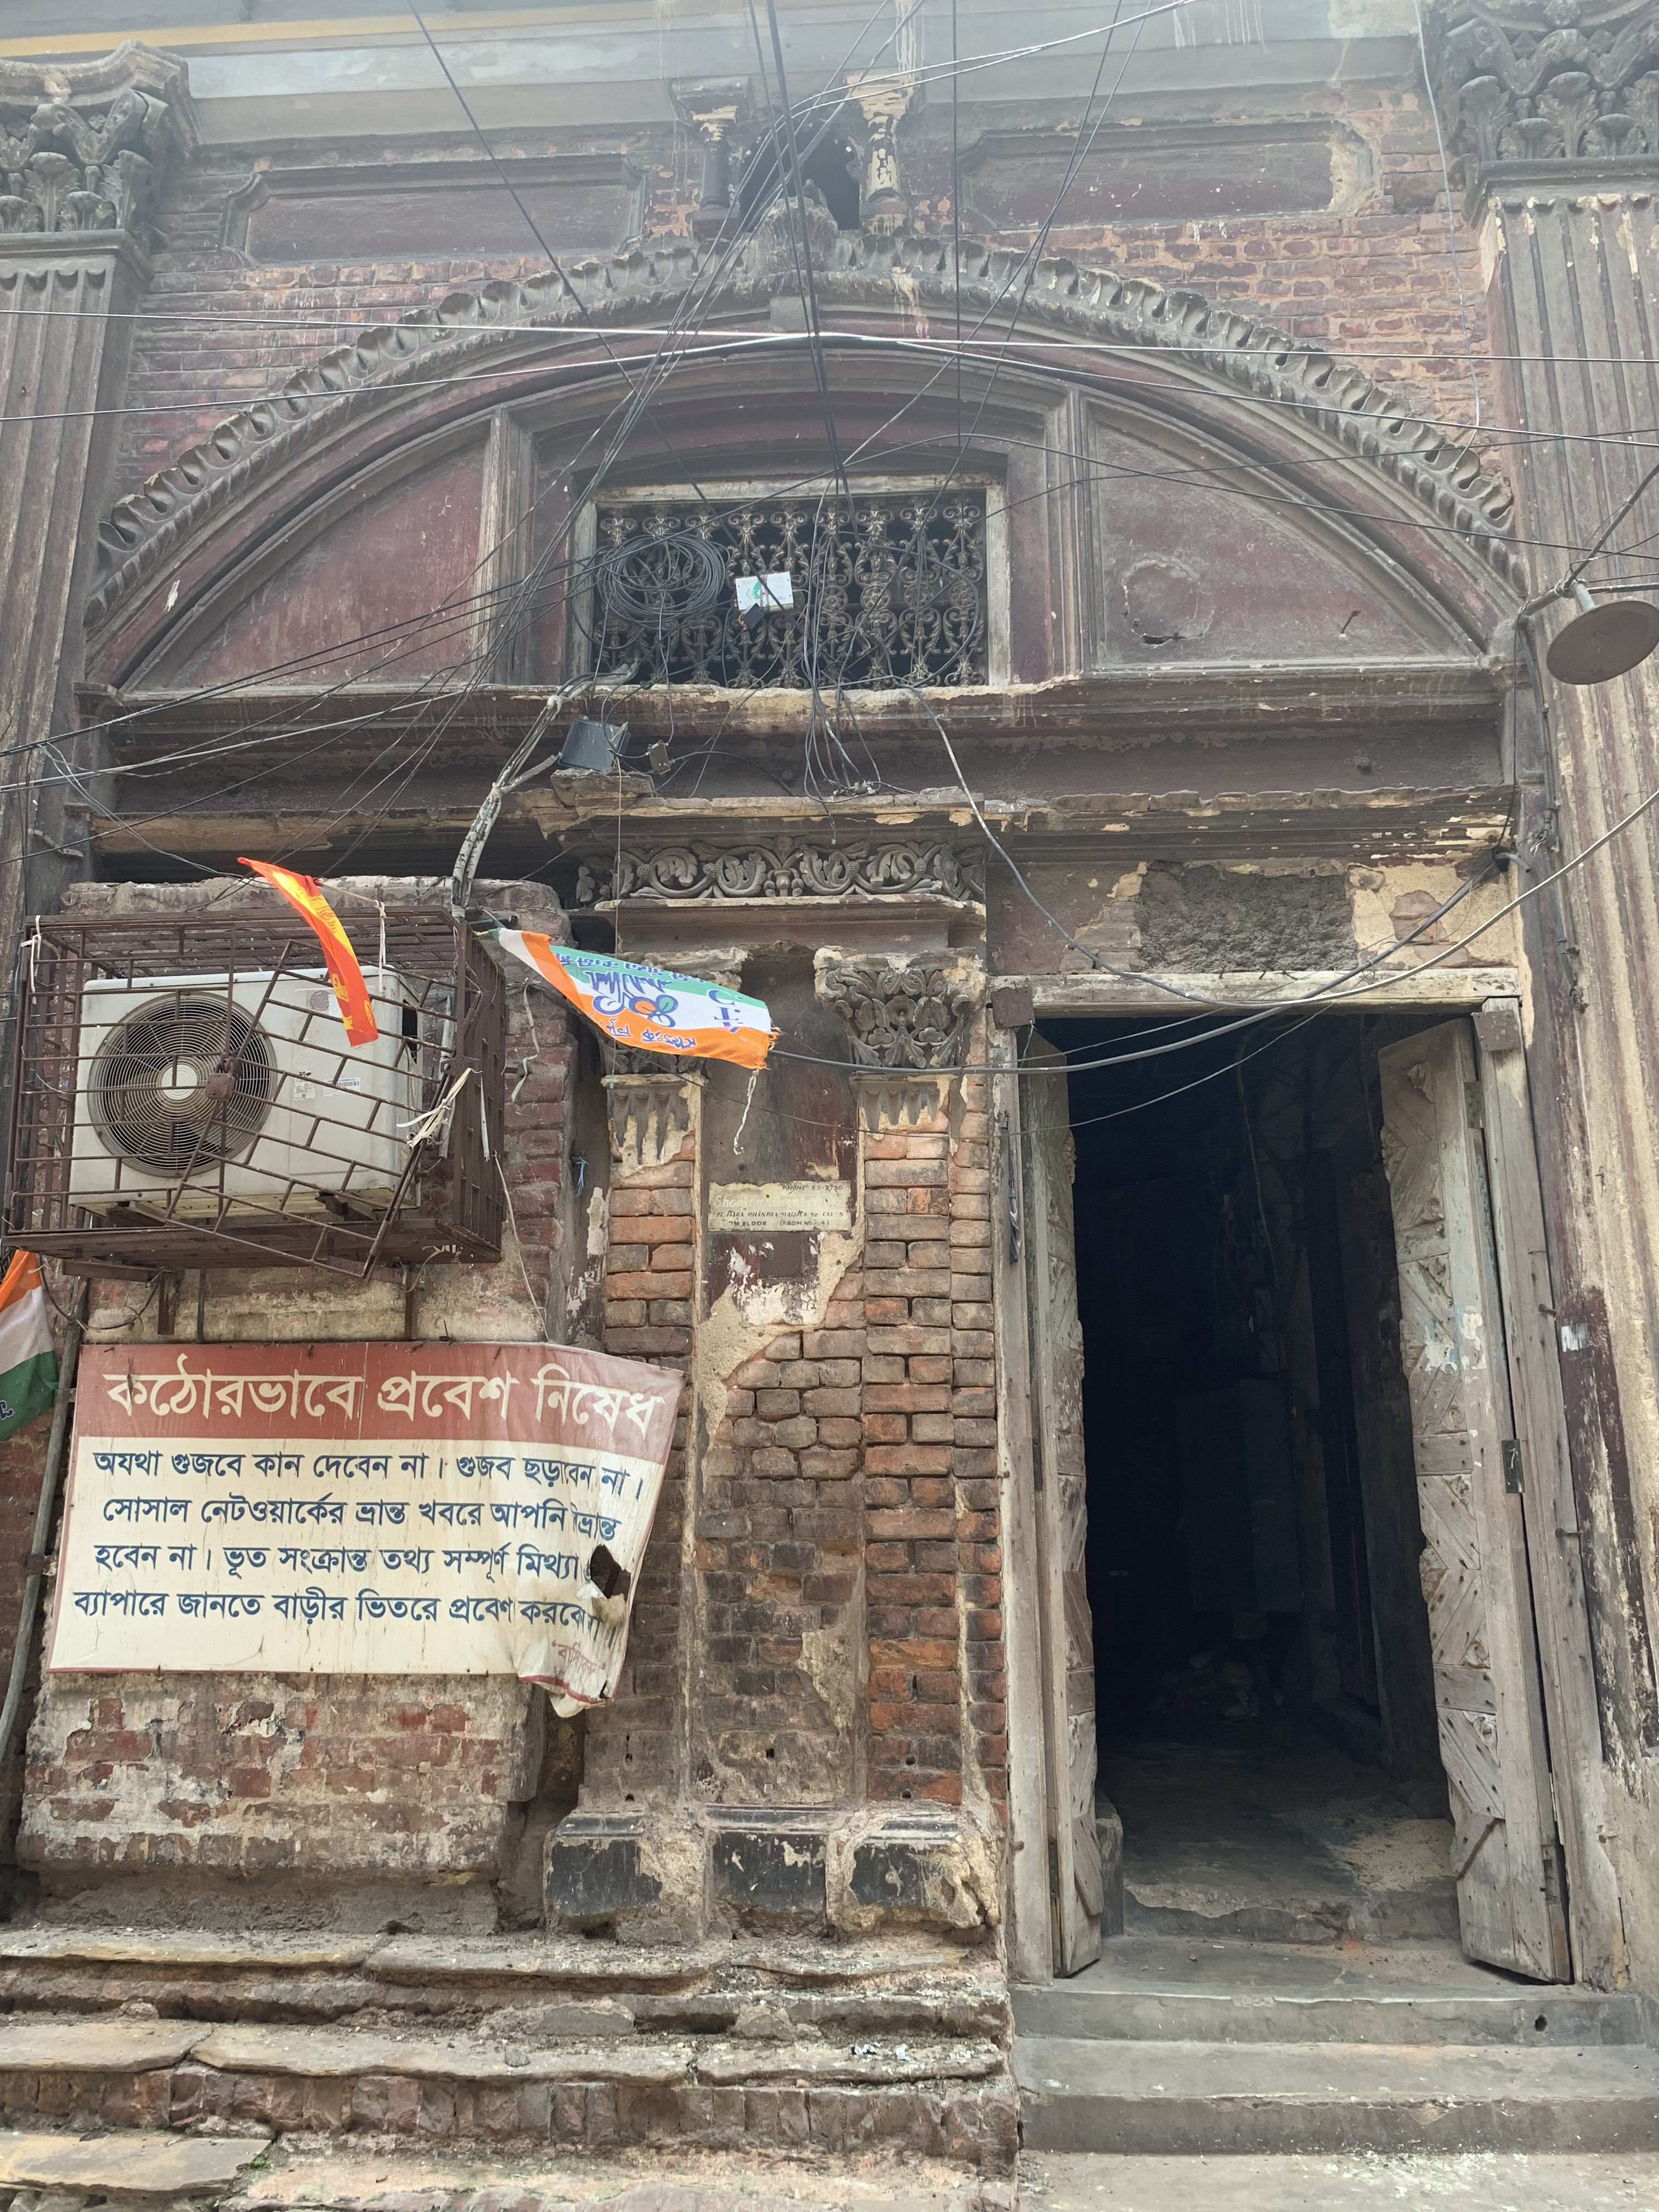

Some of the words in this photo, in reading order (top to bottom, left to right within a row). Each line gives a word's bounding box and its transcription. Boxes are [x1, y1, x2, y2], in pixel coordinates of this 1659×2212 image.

[99, 1340, 371, 1423] কঠোরভাবে
[372, 1354, 520, 1423] প্রবেশ
[523, 1348, 672, 1440] নিষেধ
[84, 1447, 163, 1485] অযথা
[168, 1449, 246, 1481] গুজবে
[248, 1447, 307, 1482] কান
[308, 1448, 430, 1485] দেবেন না
[451, 1449, 521, 1486] গুজব
[516, 1454, 632, 1500] ছড়াবেন না
[99, 1491, 194, 1532] সোসাল
[194, 1490, 351, 1530] নেটওয়ার্কের
[351, 1494, 416, 1532] ভ্রান্ত
[409, 1497, 493, 1533] খবরে
[483, 1493, 624, 1545] আপনি ভ্রান্ত
[92, 1537, 207, 1576] হবেন না
[216, 1539, 275, 1587] ভূত
[274, 1538, 373, 1580] সংক্রান্ত
[369, 1539, 442, 1580] তথ্য
[433, 1539, 515, 1587] সম্পৃর্ণ
[507, 1536, 582, 1585] মিথ্যা
[69, 1588, 171, 1622] ব্যাপার
[170, 1589, 270, 1626] জানতে
[266, 1584, 352, 1627] বাড়ীর
[348, 1579, 441, 1626] ভিতরে
[443, 1590, 528, 1630] প্রবেশ
[512, 1589, 616, 1647] করকো